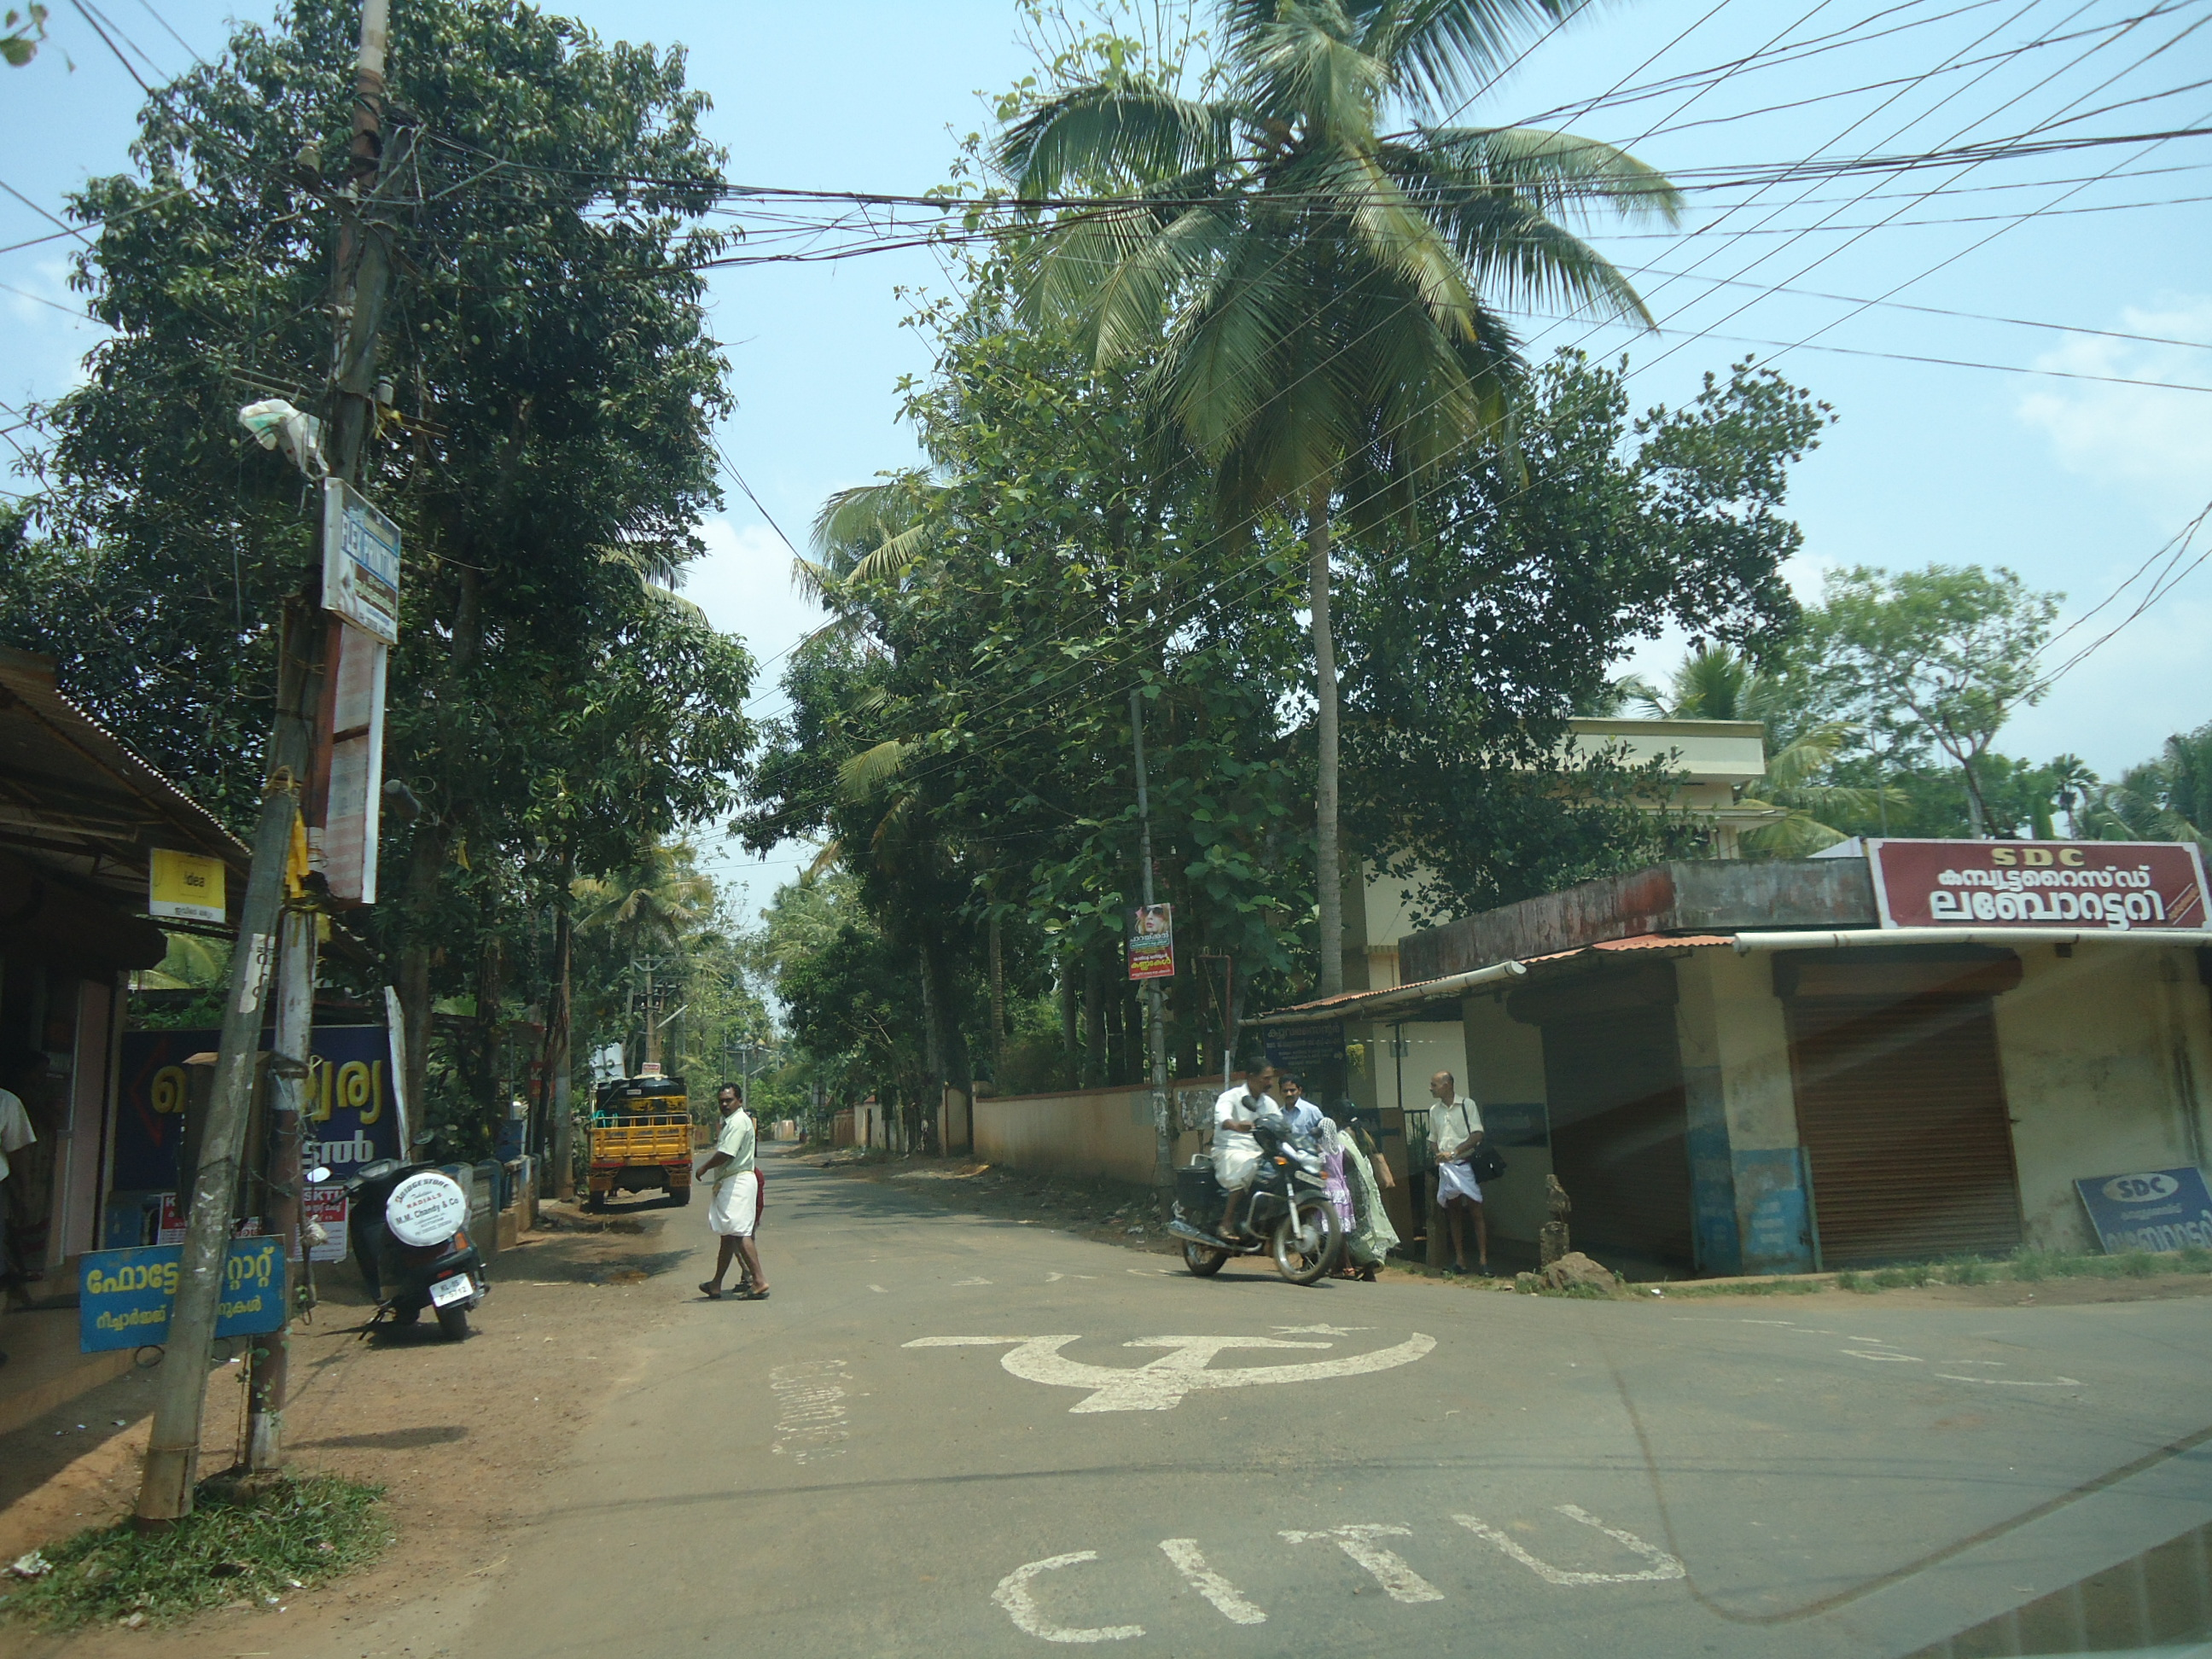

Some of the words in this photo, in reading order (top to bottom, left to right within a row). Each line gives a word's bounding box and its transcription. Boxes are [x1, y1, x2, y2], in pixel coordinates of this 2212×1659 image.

[1983, 839, 2093, 869] SDC
[1935, 863, 2124, 894] കമ്പ്യട്ടറൈസ്
[1924, 886, 2123, 935] ലബോറട്ട
[1126, 952, 1174, 974] കണ്ണാകൾ
[82, 1241, 280, 1301] ഫോട്ടേറ്റാറ്റ്
[91, 1300, 172, 1334] റീച്ചാർജ്ജ്